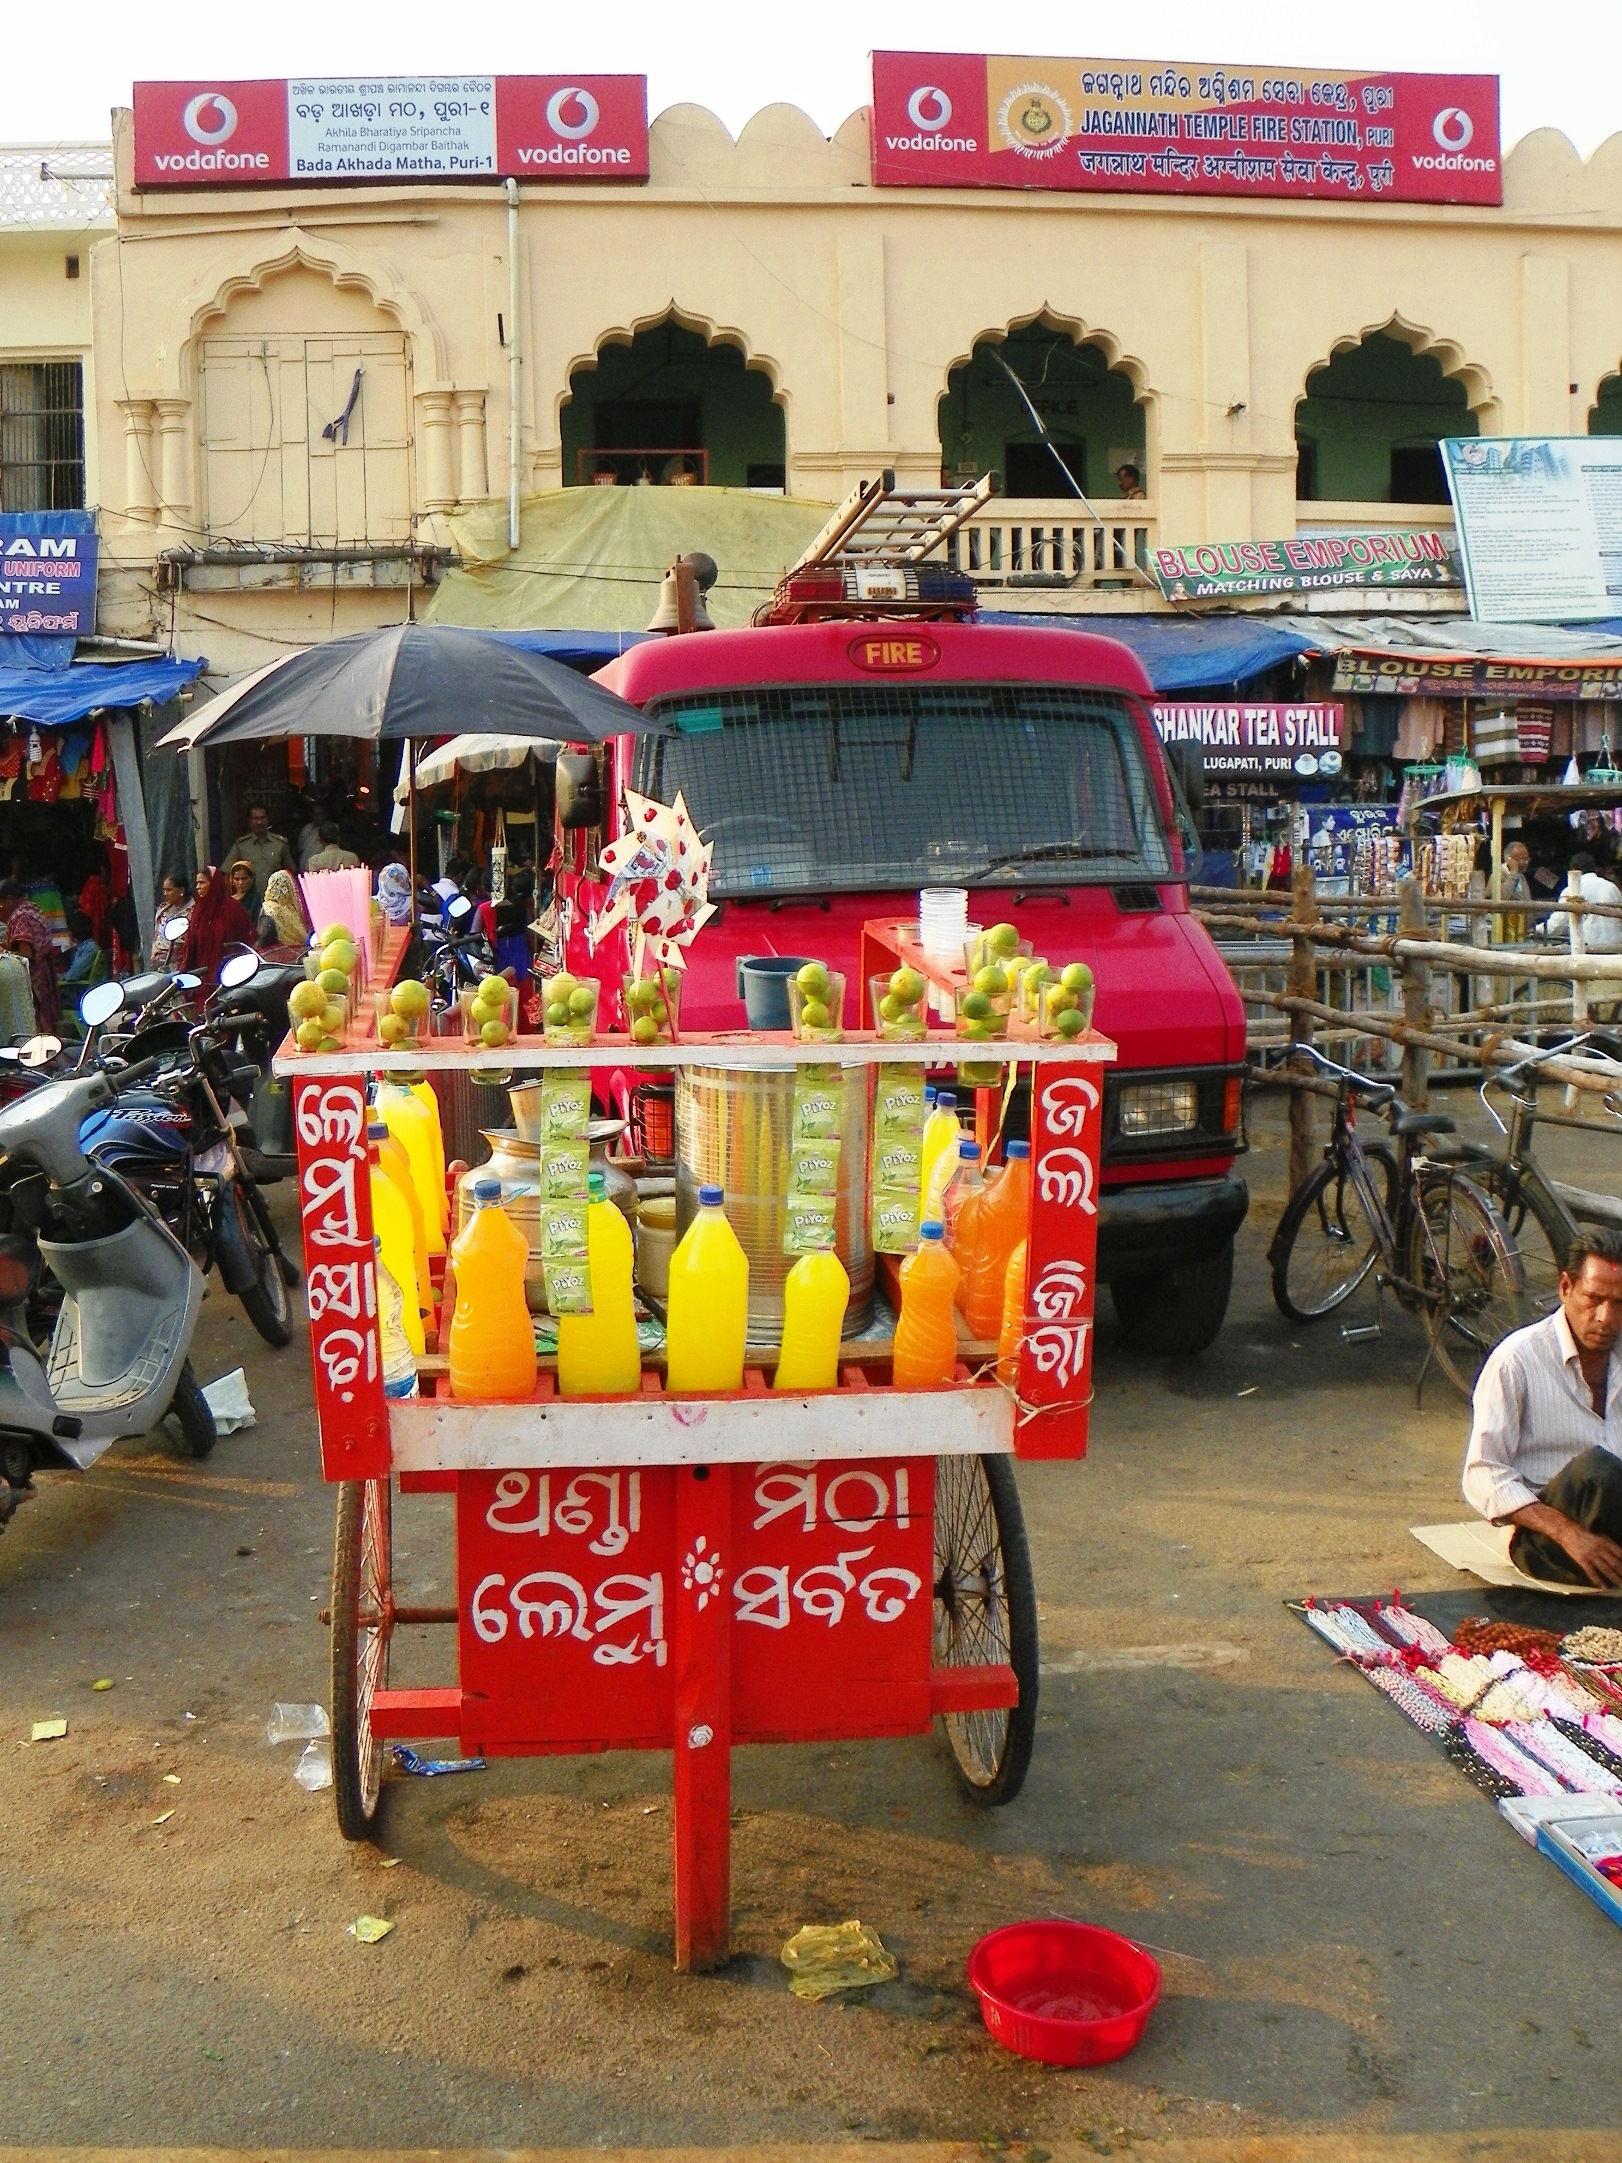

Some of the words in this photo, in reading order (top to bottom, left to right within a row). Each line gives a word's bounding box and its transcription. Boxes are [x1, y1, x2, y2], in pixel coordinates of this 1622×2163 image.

[149, 137, 273, 173] vodafone
[284, 77, 320, 100] ଅଖିଲ
[285, 95, 329, 125] ବଡ଼
[288, 154, 336, 175] Bada
[315, 78, 359, 99] ଭାରତୀୟ
[321, 124, 361, 140] Akhila
[315, 139, 381, 156] Ramanandi
[329, 95, 383, 126] ଆଖଡ଼ା
[335, 151, 398, 173] Akhada
[349, 77, 389, 104] ଶ୍ରୀପଞ୍ଚ
[356, 121, 410, 141] Bharatiya
[381, 99, 421, 119] ମଠ
[371, 137, 432, 156] Digambar
[383, 75, 431, 95] ରାମାନନ୍ଦୀ
[391, 150, 447, 175] Matha,
[399, 119, 463, 141] Sripancha
[425, 73, 463, 97] ଦିଗମ୍ବର
[427, 137, 473, 152] Baithak
[429, 97, 493, 125] ପୁରୀ-୧
[445, 150, 497, 174] Puri-1
[457, 71, 496, 95] ବୈଠକ
[513, 137, 632, 166] vodafone
[879, 127, 983, 155] vodafone
[1072, 63, 1145, 105] ଜଗନ୍ନାଥ
[1077, 146, 1151, 180] जगन्नाथ
[1077, 107, 1187, 140] JAGANNATHI
[1147, 55, 1197, 101] ମନ୍ଦିର
[1147, 143, 1203, 185] मन्दिर
[1181, 109, 1249, 142] TEMPLE
[1197, 63, 1257, 110] ଅଗ୍ନିଶମ
[1200, 147, 1281, 183] अग्नीशम
[1247, 109, 1291, 146] FIRE
[1259, 73, 1311, 109] ସେବା
[1270, 144, 1319, 183] सेवा
[1299, 71, 1352, 116] କେନ୍ଦ୍ର
[1288, 110, 1363, 149] STATION,
[1312, 143, 1361, 193] केन्द्र
[1352, 80, 1397, 116] ପୁରୀ
[1359, 119, 1396, 150] PURI
[1362, 148, 1399, 197] पुरी
[1407, 147, 1498, 175] vodafone
[4, 531, 81, 560] AM
[2, 551, 83, 583] UNIFORM
[1150, 536, 1290, 582] BLOUSE
[1190, 573, 1297, 597] MATCHING
[1296, 569, 1370, 591] BLOUSE
[1277, 525, 1454, 574] EMPORIUM
[1366, 566, 1387, 587] &
[1385, 561, 1434, 583] SAYA
[6, 601, 82, 635] ୟୁନିଫର୍ମ
[857, 639, 932, 669] FIRE
[1330, 648, 1481, 680] BLOUSE
[1146, 700, 1245, 751] SHANKAR
[1236, 698, 1282, 749] TEA
[1278, 698, 1348, 749] STALL
[1198, 748, 1263, 775] LUGAPATI,
[1261, 752, 1297, 772] PURI
[1017, 1068, 1104, 1218] ଜଲ
[288, 1061, 383, 1410] ଲେ ମୁ ସୋ ତ଼ା
[1022, 1239, 1107, 1393] ଜିରା
[478, 1461, 646, 1555] ଥଣ୍ଡା
[747, 1457, 921, 1537] ମିଠା
[727, 1548, 919, 1635] ସର୍ବତ
[465, 1550, 676, 1679] ଲେମ୍ବୁ